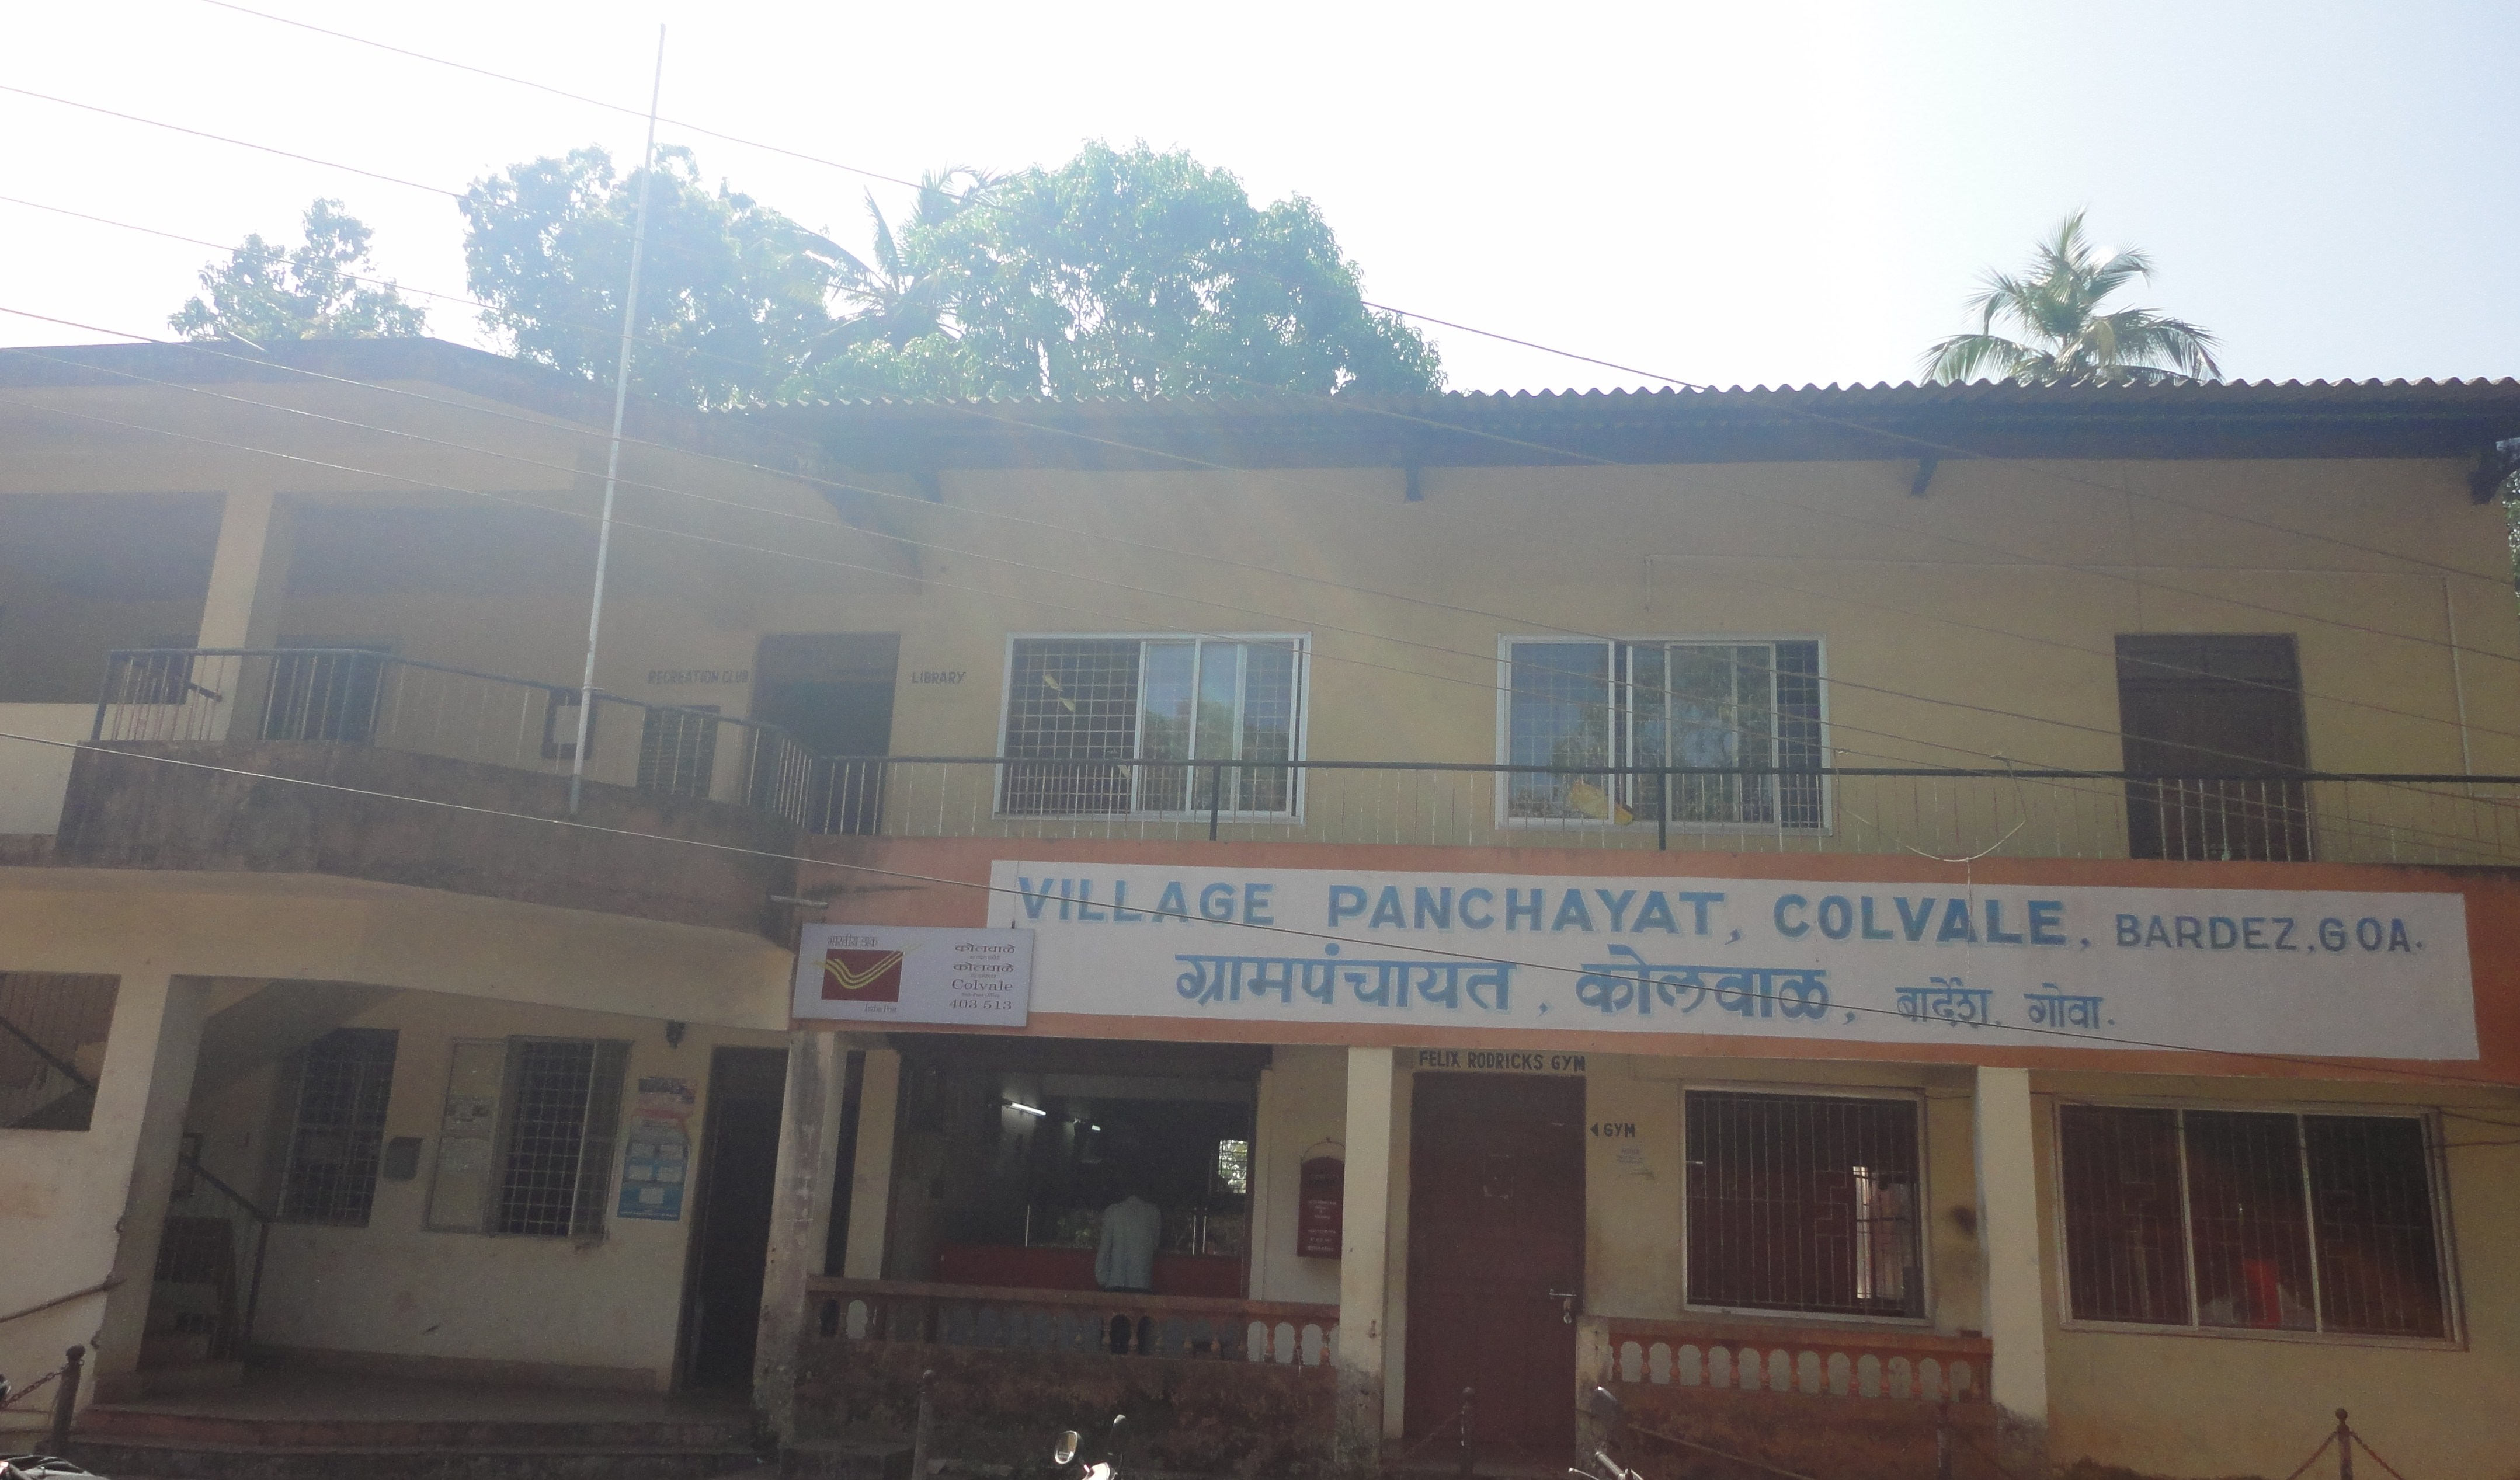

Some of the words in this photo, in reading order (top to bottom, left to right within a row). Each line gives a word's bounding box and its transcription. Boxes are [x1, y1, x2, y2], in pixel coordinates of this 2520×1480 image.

[906, 661, 970, 685] LIBRARY
[824, 925, 863, 952] भारतीय
[857, 932, 883, 949] डाक
[946, 971, 1019, 994] Colvale
[949, 938, 1019, 956] कोलवाळे
[948, 956, 1020, 974] कोलवाळे
[1007, 876, 1278, 925] VILLAGE
[1173, 940, 1521, 1012] ग्रामपंचायत
[1325, 879, 1726, 940] PANCHAYAT
[1572, 937, 1834, 1023] कोलवाळ
[1768, 889, 2069, 945] COLVALE
[1882, 963, 1994, 1030] बार्देश
[2018, 970, 2107, 1033] गोवा
[2111, 908, 2302, 953] BARDEZ
[2315, 909, 2415, 961] GOA
[1414, 1044, 1465, 1072] FELIX
[1465, 1049, 1547, 1072] RODRICKS
[1549, 1051, 1590, 1074] GYM